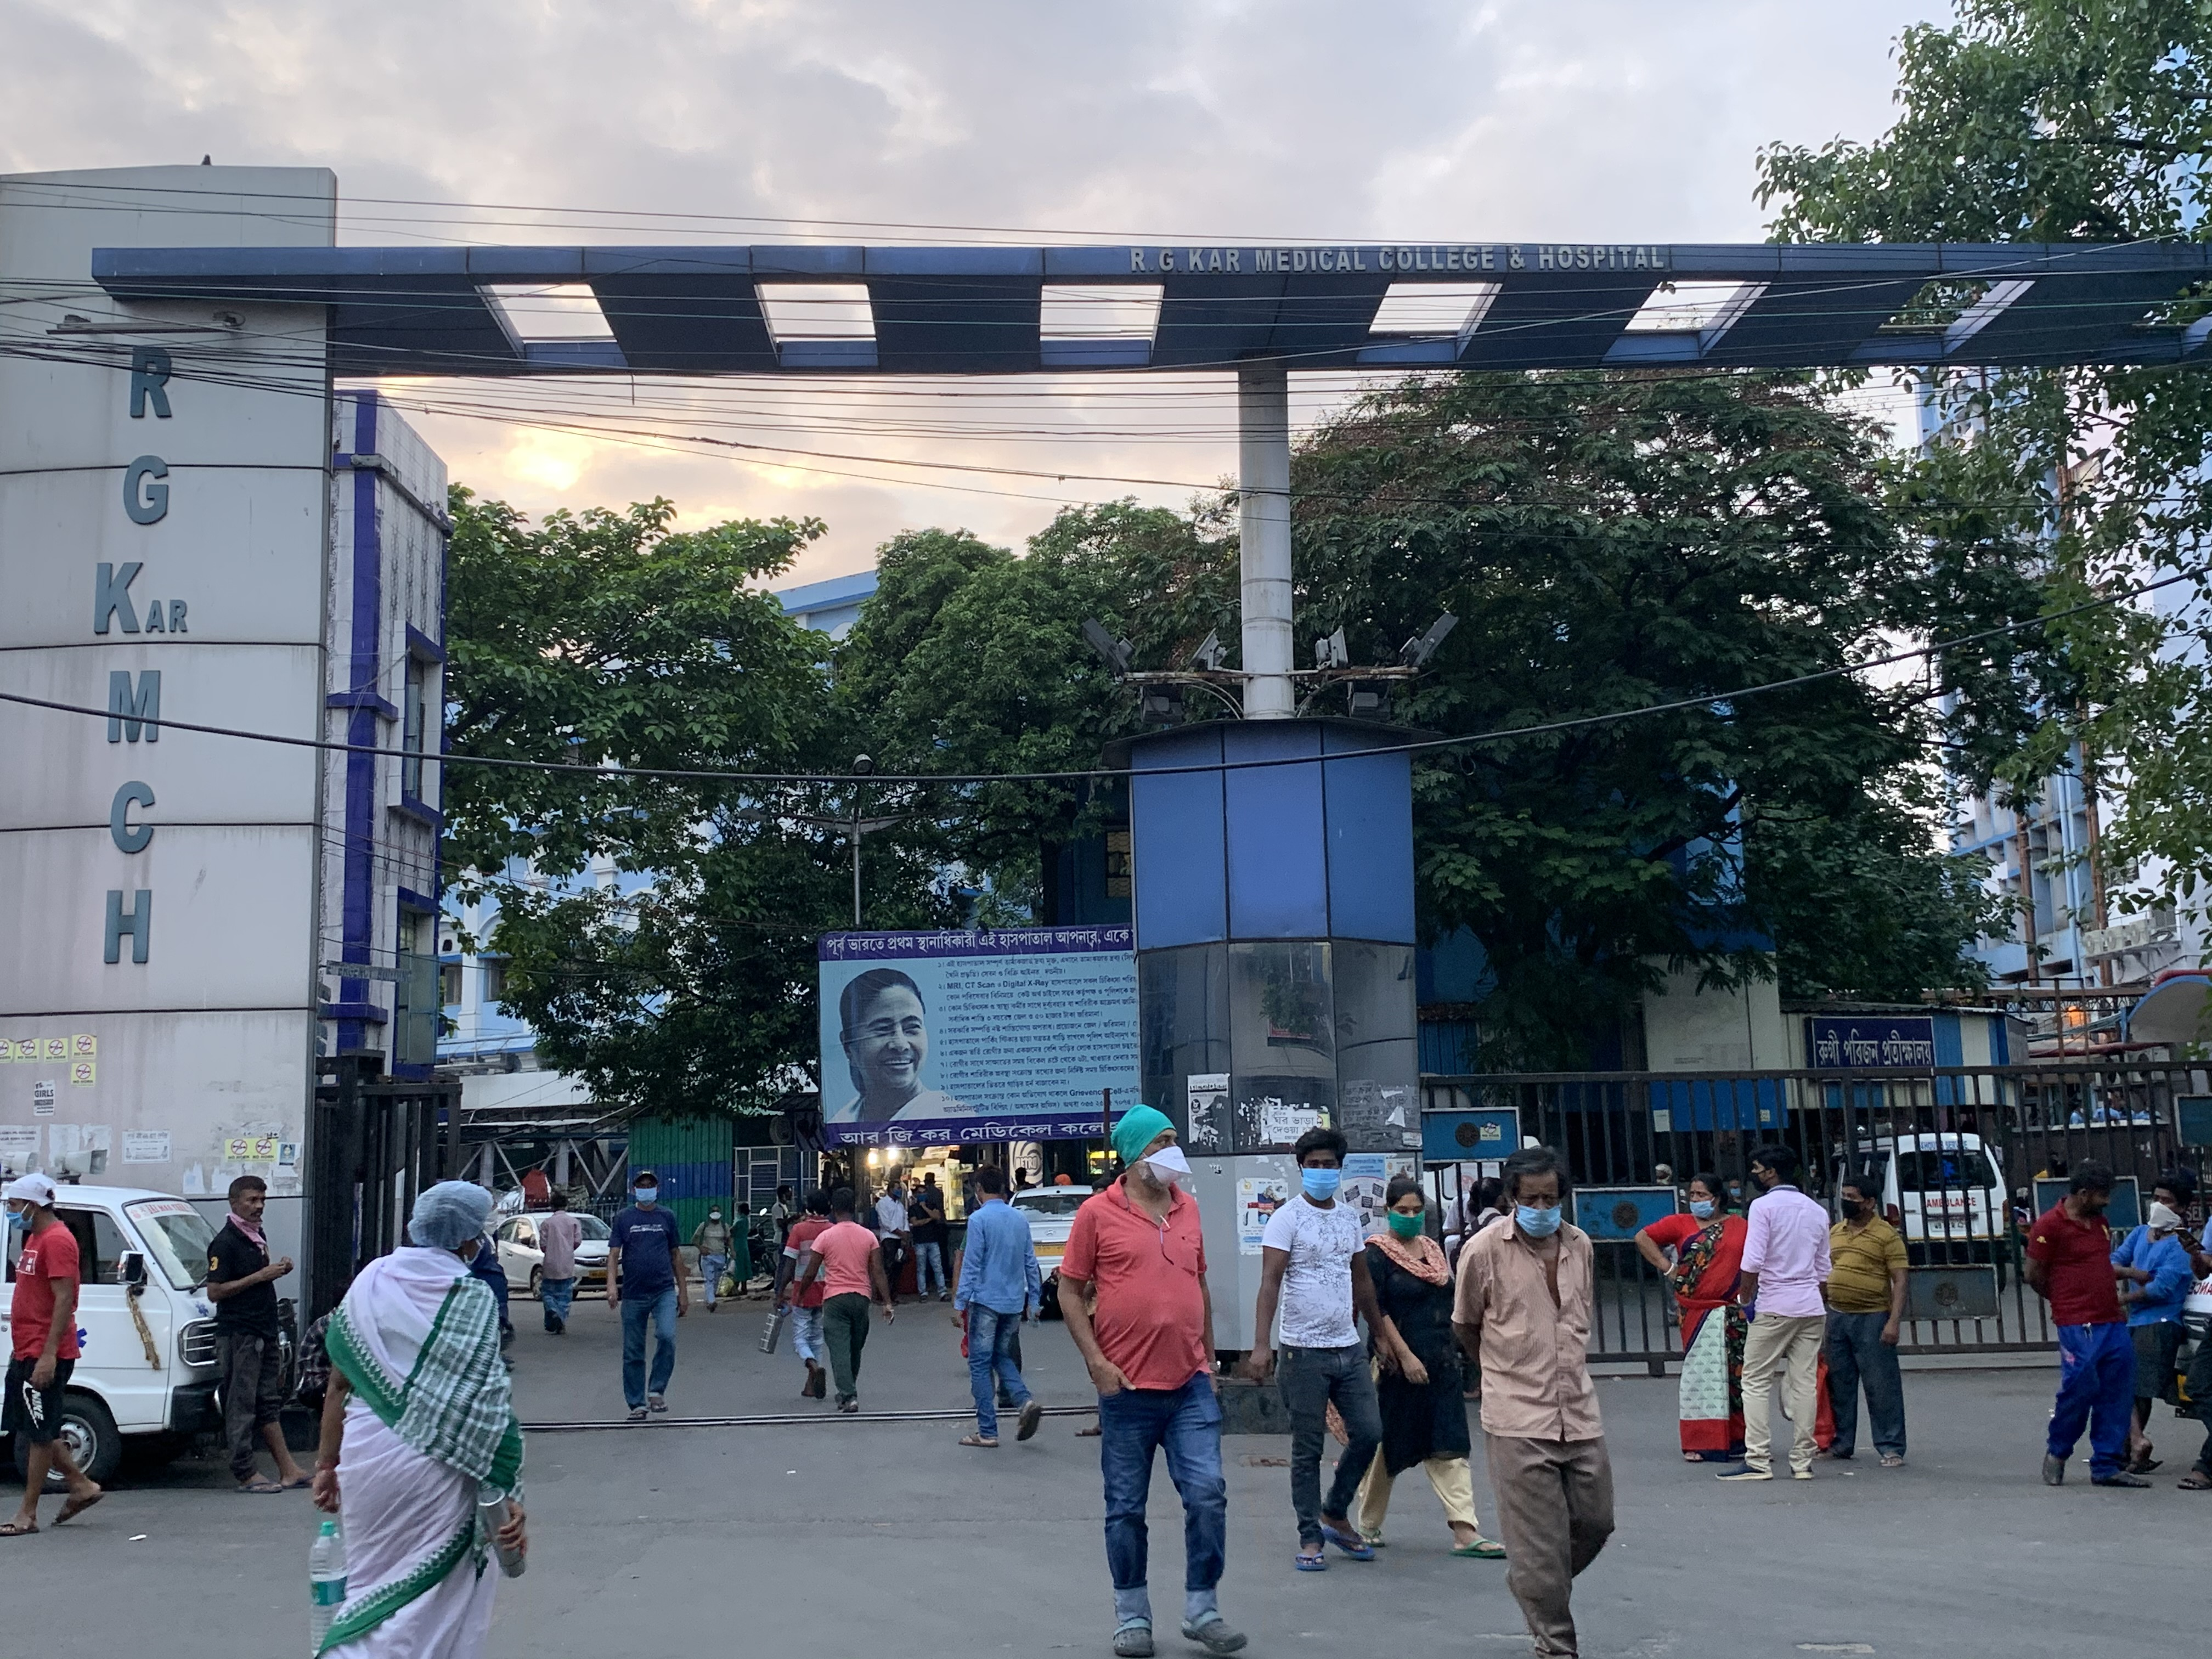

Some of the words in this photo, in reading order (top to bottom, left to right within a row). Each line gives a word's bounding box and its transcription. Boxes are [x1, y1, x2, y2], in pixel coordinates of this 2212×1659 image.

[1119, 235, 1250, 281] R.G.KAR
[1250, 239, 1370, 279] MEDICAL
[1367, 238, 1499, 276] COLLEGE
[1502, 239, 1527, 273] &
[1533, 240, 1667, 274] HOSPITAL
[111, 337, 183, 533] RG
[82, 554, 198, 644] KAR
[100, 665, 165, 970] MCH
[816, 926, 855, 962] পূর্ব
[845, 927, 889, 955] ভারতে
[883, 930, 917, 957] প্রথম
[909, 924, 979, 961] স্থানাধিকারী
[973, 925, 1056, 952] এই হাসপাতাল
[1053, 922, 1104, 952] আপনার,
[1101, 921, 1133, 946] একে
[941, 978, 965, 995] MRI,
[962, 975, 998, 990] CTScan
[999, 977, 1029, 990] Digital
[1024, 975, 1051, 991] X-Ray
[1814, 1023, 1850, 1072] রুগী
[1835, 1017, 1882, 1068] পরিজন
[1876, 1020, 1937, 1074] প্রতীক্ষালয়৷
[838, 1123, 881, 1148] আর
[881, 1118, 956, 1148] জিকর
[956, 1114, 1056, 1143] মেডিকেল
[1056, 1118, 1109, 1142] কলে
[1271, 1124, 1302, 1136] দেওয়া
[1273, 1113, 1317, 1127] ঘর ভাড়া
[1921, 1194, 1979, 1212] AMBULANCE